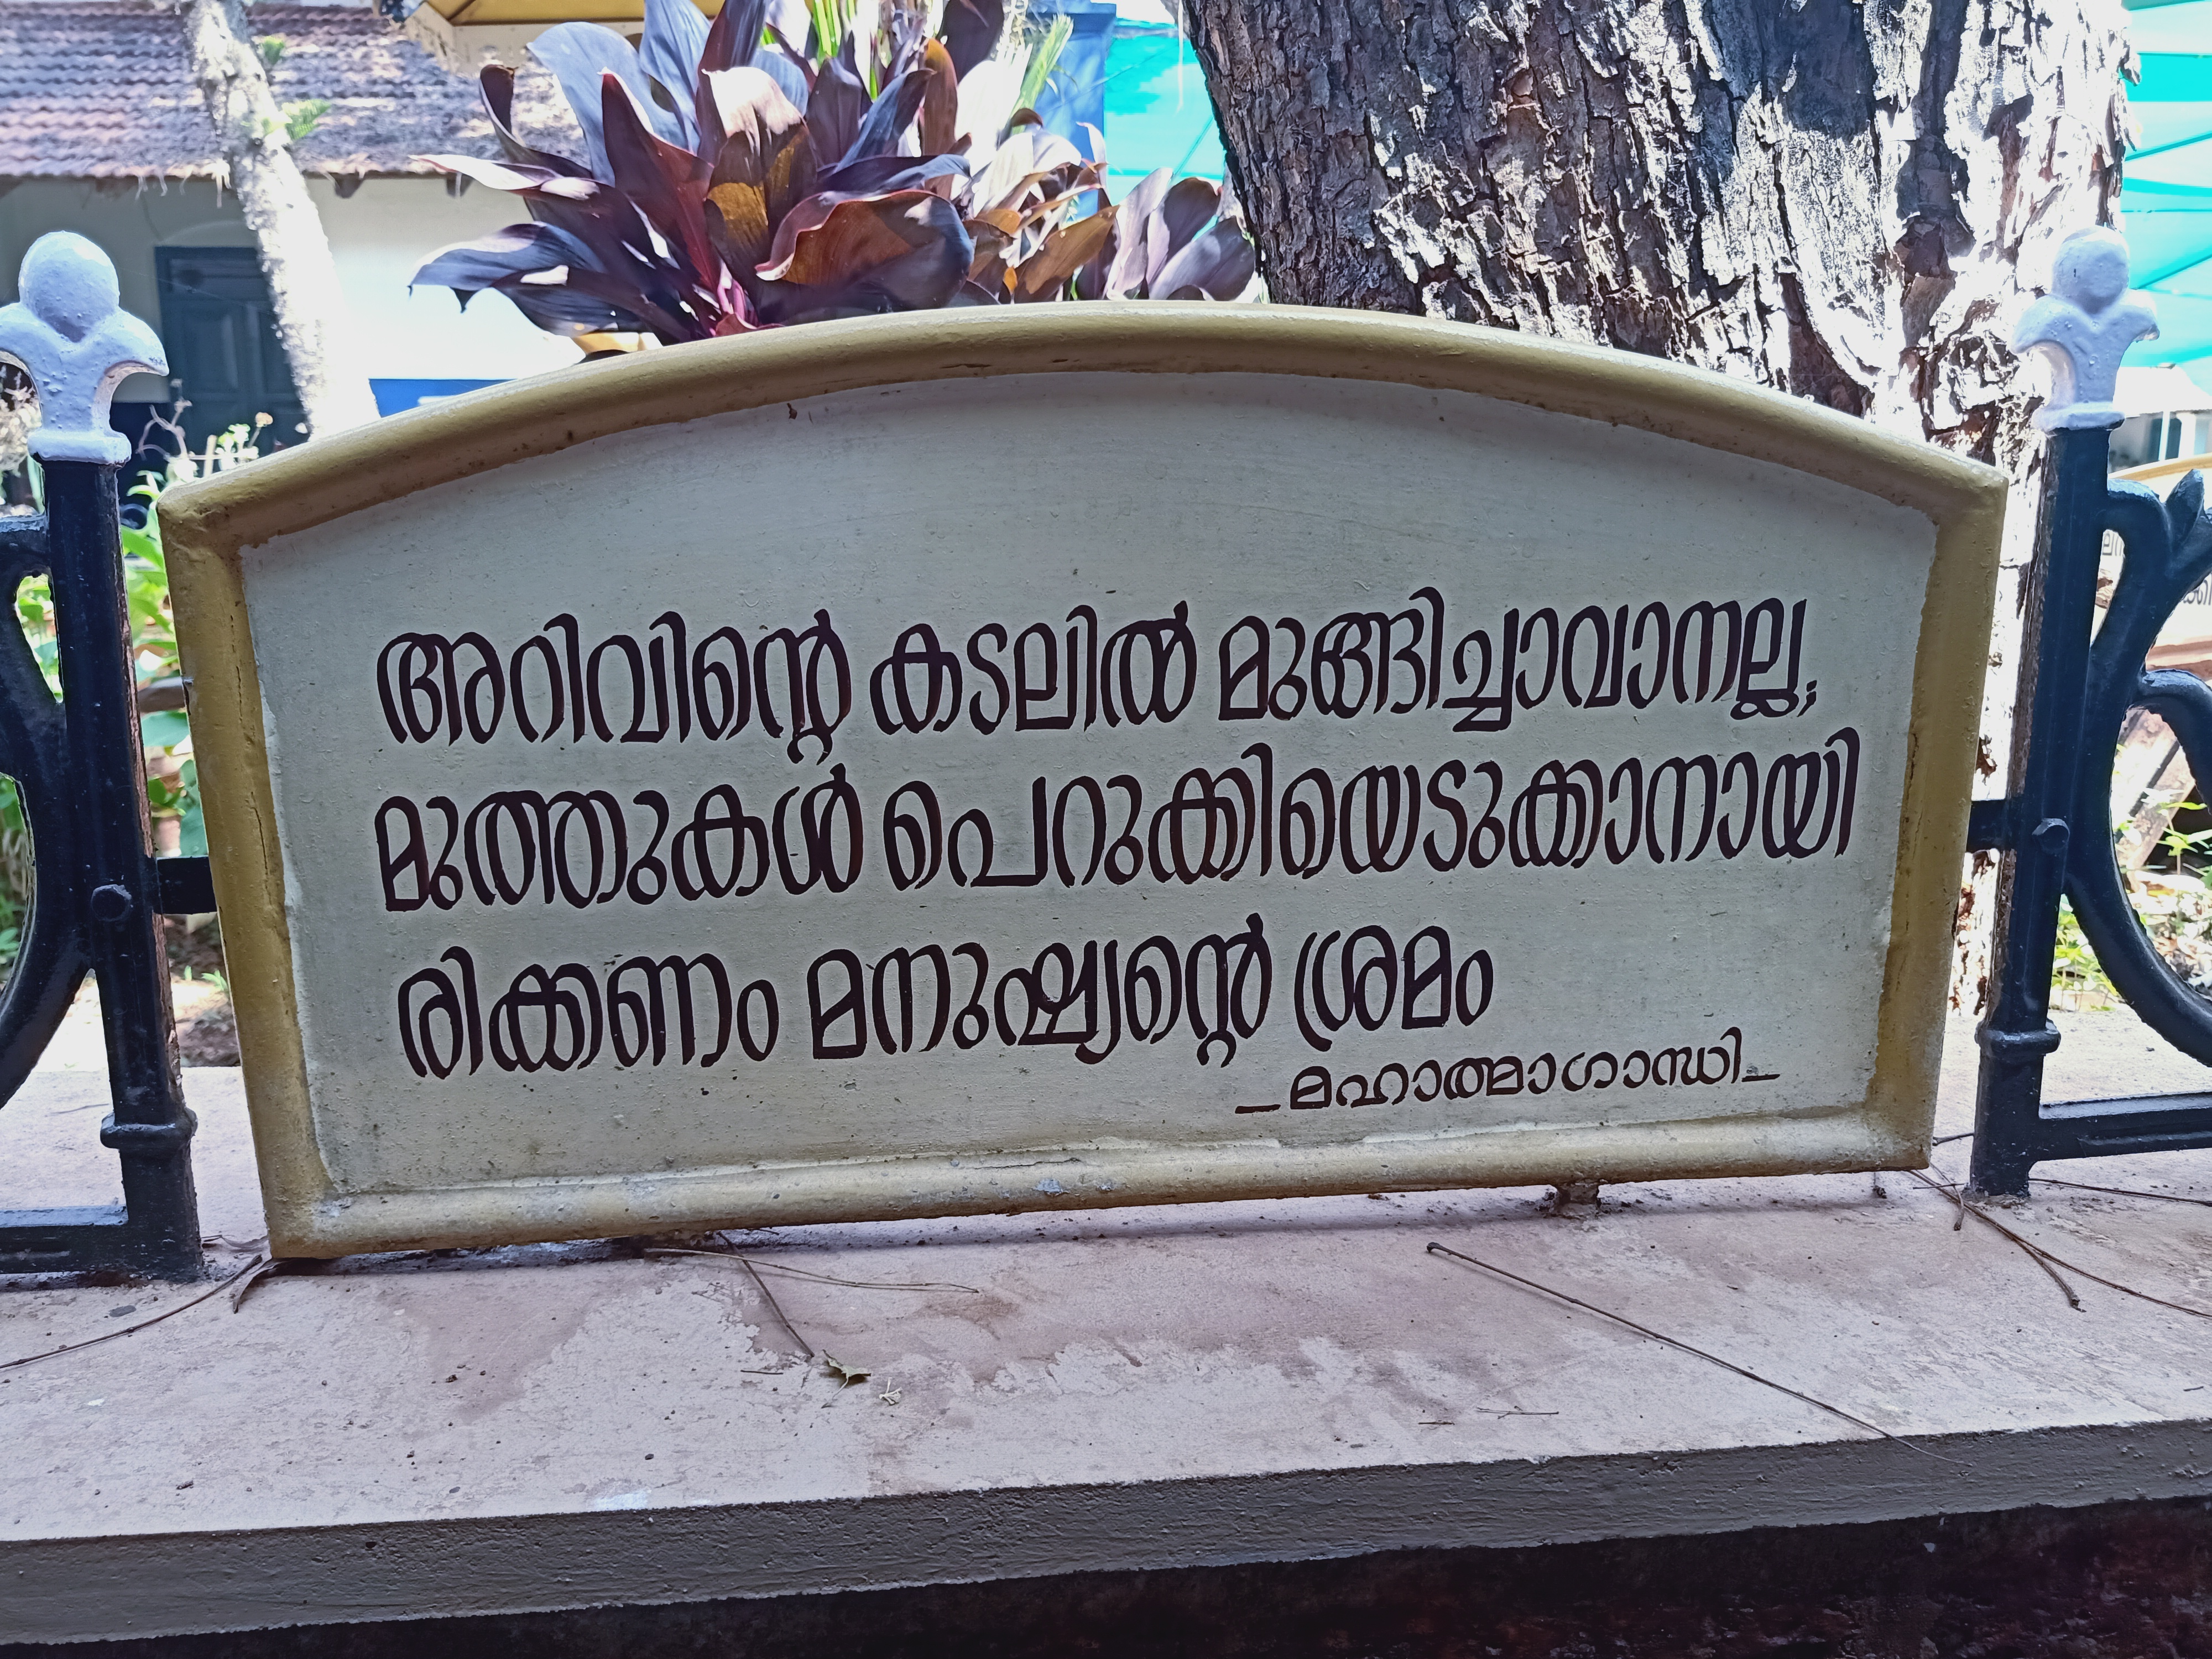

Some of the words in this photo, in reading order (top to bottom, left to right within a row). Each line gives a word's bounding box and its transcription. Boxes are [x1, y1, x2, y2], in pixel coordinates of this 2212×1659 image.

[371, 596, 857, 770] അറിവിൻ്റെ
[862, 588, 1207, 742] കടലിൽ
[1212, 580, 1816, 738] മുങ്ങിച്ചാവാനല്ല
[364, 754, 870, 914] മുത്തുകൾ
[878, 713, 1863, 894] പെരുക്കിയെടുക്കാനായി
[392, 939, 783, 1083] രിക്കണം
[802, 900, 1275, 1074] മനുഷ്യൻ്റെ
[1287, 916, 1499, 1053] ശ്രമം
[1276, 1018, 1747, 1113] മഹാത്മാഗാഡി